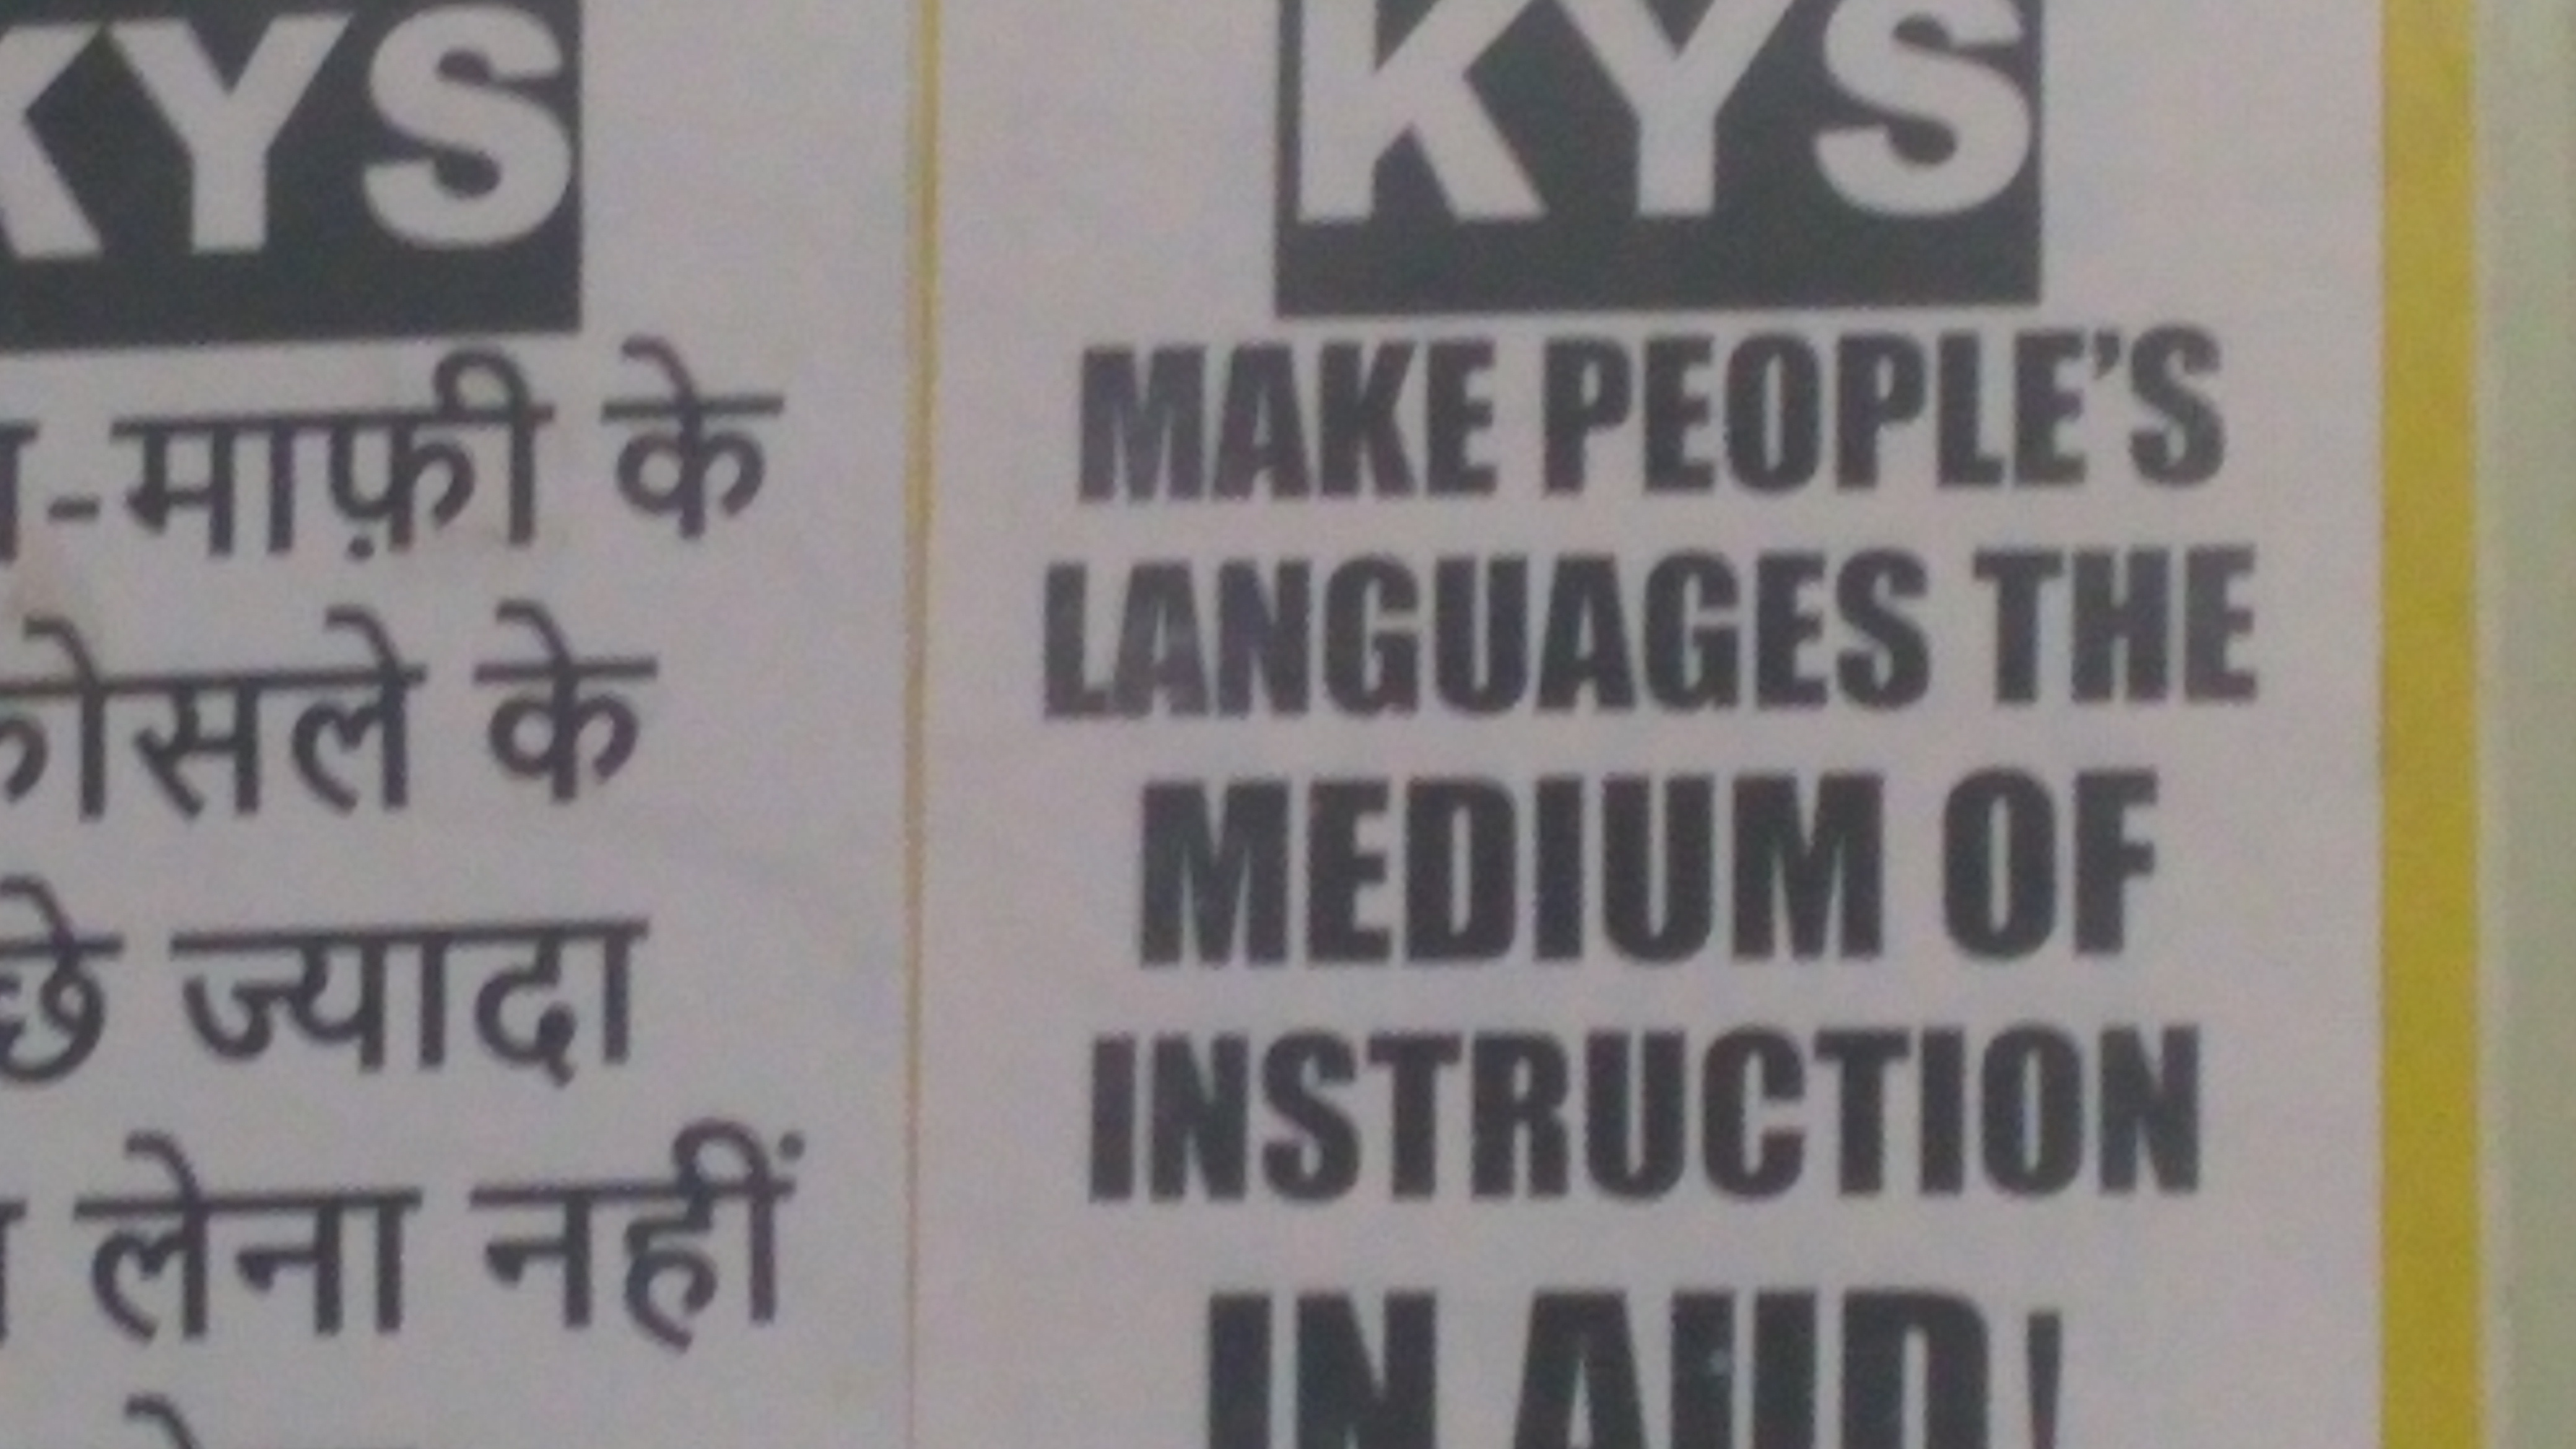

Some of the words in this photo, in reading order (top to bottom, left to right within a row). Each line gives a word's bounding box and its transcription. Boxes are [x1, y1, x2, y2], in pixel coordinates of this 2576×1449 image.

[0, 0, 611, 282] YS
[1273, 0, 2058, 242] KYS
[110, 337, 570, 578] माफ़ी
[596, 328, 790, 550] के
[1062, 321, 1512, 522] MAKE
[1539, 308, 2235, 511] PEOPLE
[0, 588, 440, 836] कोसले
[463, 582, 674, 821] के
[1035, 534, 1941, 722] LANGUAGES
[1962, 522, 2281, 733] THE
[1128, 765, 1891, 967] MEDIUM
[1914, 744, 2183, 990] OF
[56, 1108, 426, 1359] लेना
[163, 904, 656, 1101] ज्‍यादा
[467, 1099, 824, 1366] नहीं
[1077, 1016, 2214, 1220] INSTRUCTION